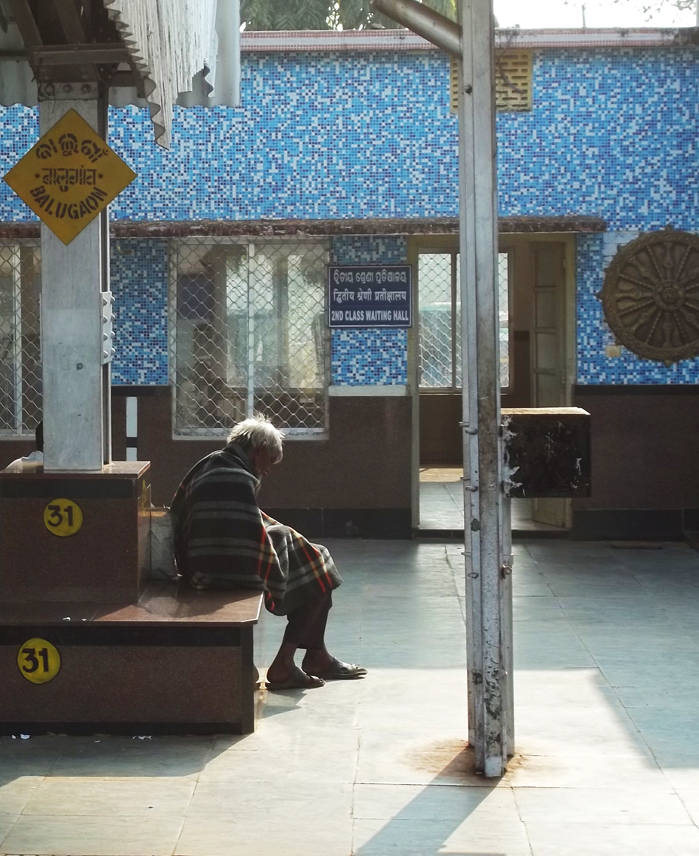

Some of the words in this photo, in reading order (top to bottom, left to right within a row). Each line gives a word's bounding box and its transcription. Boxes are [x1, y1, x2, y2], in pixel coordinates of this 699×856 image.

[31, 125, 116, 167] ବାଲୁଗାଁ
[36, 159, 103, 198] बालुगांव
[23, 183, 113, 223] BALUGAON
[323, 260, 359, 289] ଦ୍ଵିତୀୟ
[350, 265, 378, 289] ଶ୍ରେଣୀ
[371, 259, 412, 289] ପ୍ରତିକ୍ଷାଳୟ
[326, 279, 358, 306] द्धितीय
[351, 282, 377, 303] श्रेणी
[368, 282, 411, 305] प्रतीक्षालय
[327, 307, 349, 325] 2NDC
[341, 304, 371, 324] CLASS W
[361, 307, 399, 326] WAITINGH
[387, 308, 412, 325] GHALL